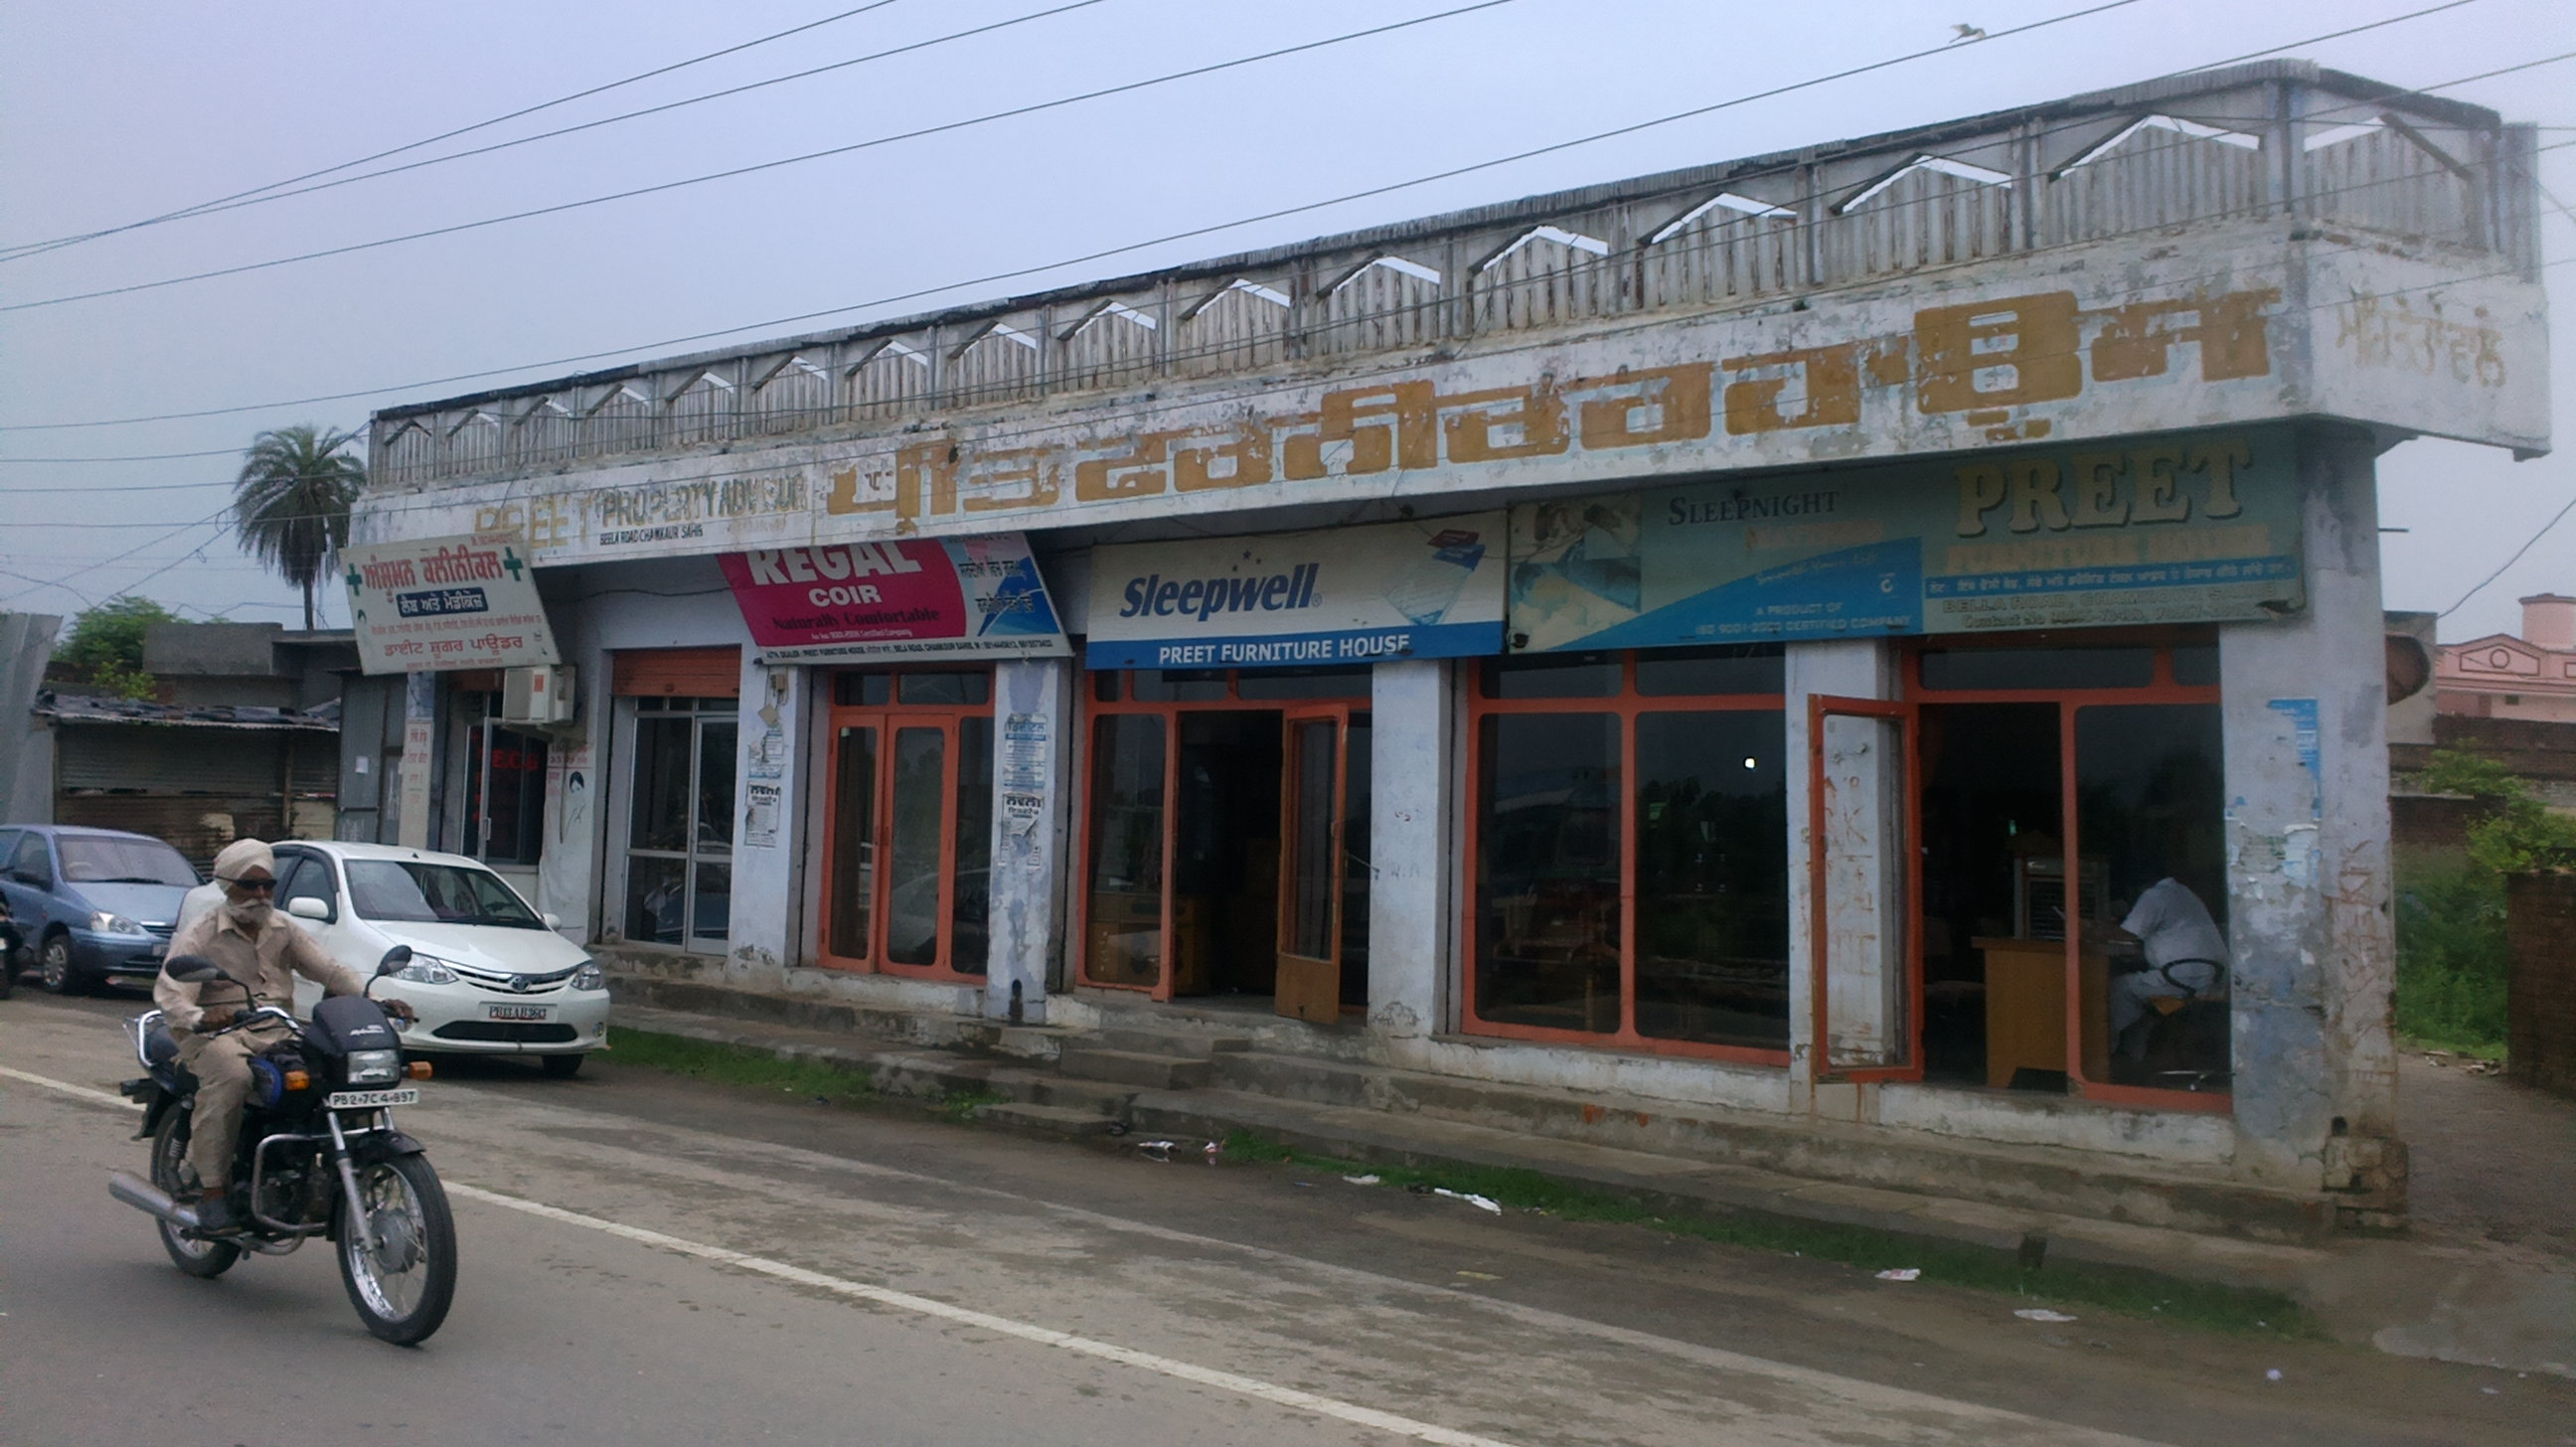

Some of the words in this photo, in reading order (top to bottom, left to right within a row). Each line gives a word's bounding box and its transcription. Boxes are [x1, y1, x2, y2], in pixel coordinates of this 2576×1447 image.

[1715, 261, 2310, 453] ਹਉਸ
[1065, 343, 1723, 510] ਫਰਨੀਰਰ
[1947, 431, 2264, 541] PREET
[1661, 482, 1845, 532] SLEEPNIGHT
[358, 550, 418, 604] ਅੰਸੂਮਨ
[397, 593, 419, 615] ਲੈਬ
[416, 590, 442, 615] ਅਤੇ
[413, 541, 507, 589] ਕਲੀਨੀਕਲ
[439, 587, 485, 613] ਮੈਡੀਕੇਜ਼
[737, 535, 934, 592] REGAL
[798, 579, 886, 612] COIR
[1115, 558, 1323, 628] Sleepwell
[381, 636, 430, 659] ਡਾਈਟ
[423, 635, 466, 661] ਸ਼ੂਗਰ
[466, 629, 527, 657] ਪਾਊਡਰ
[1153, 638, 1219, 671] PREET
[1215, 633, 1337, 667] FURNITURE
[1336, 630, 1413, 660] HOUSE